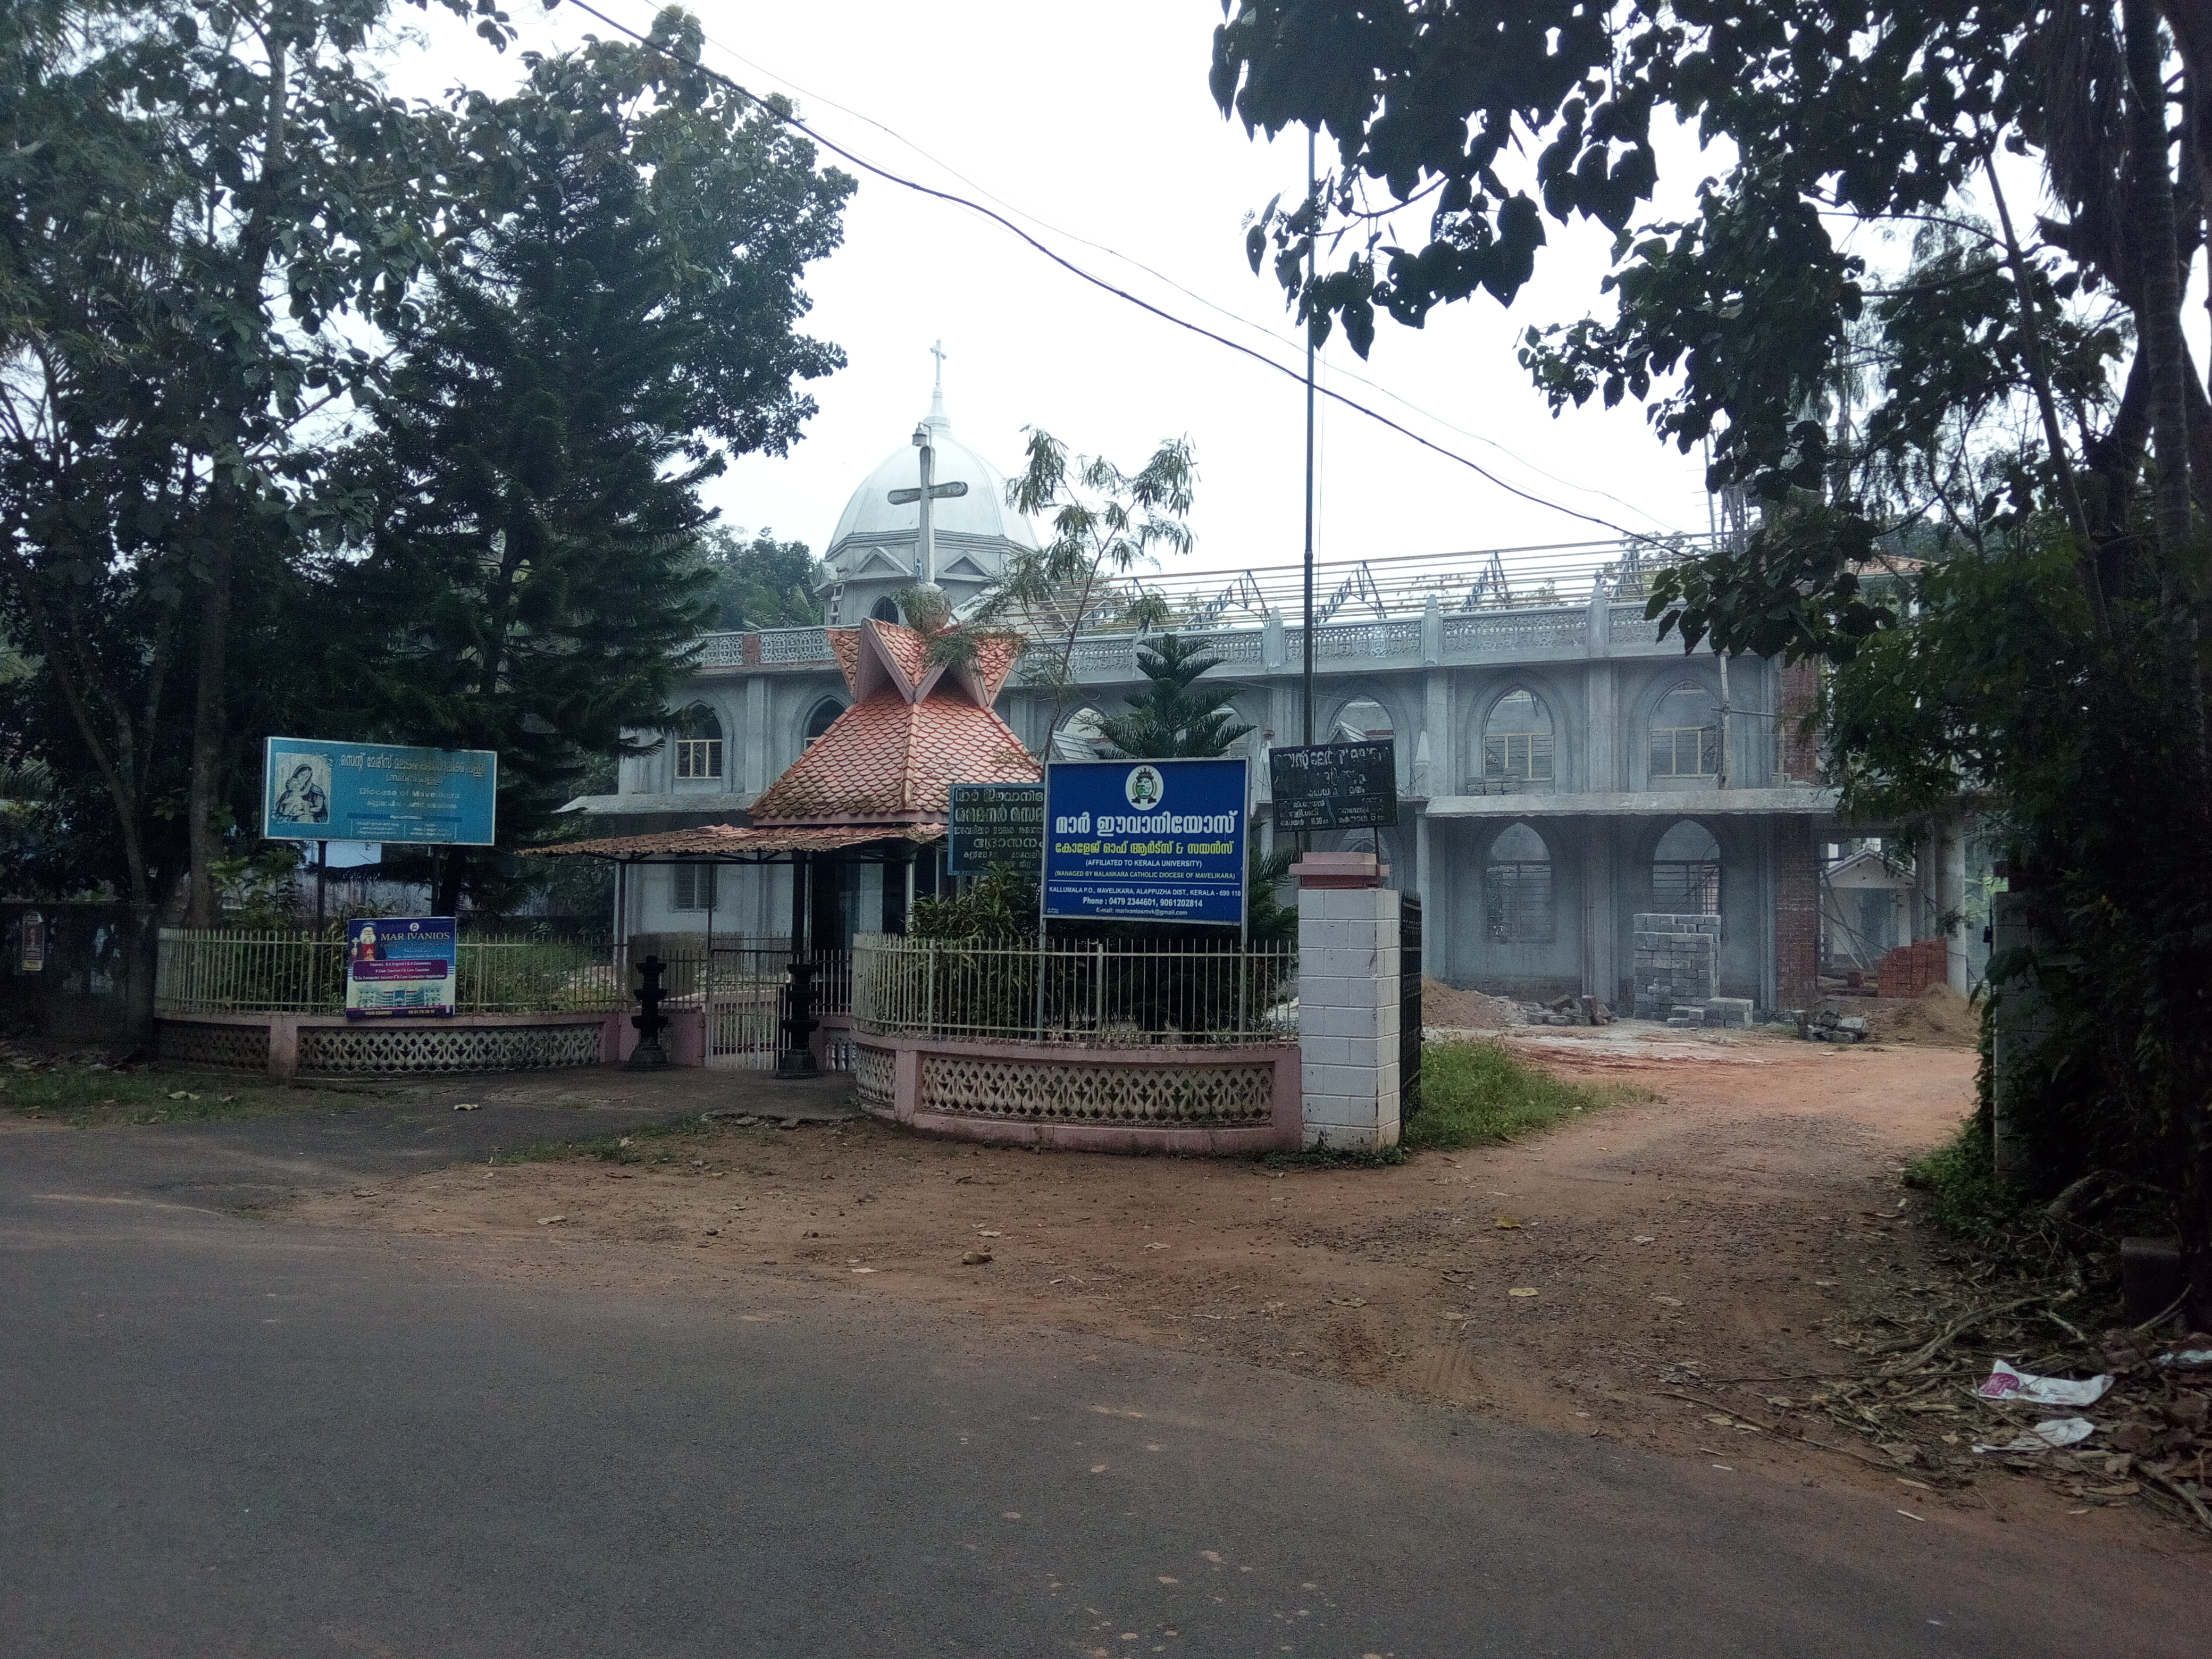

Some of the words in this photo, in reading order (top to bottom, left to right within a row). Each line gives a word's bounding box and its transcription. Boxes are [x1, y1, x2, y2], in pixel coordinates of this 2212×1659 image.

[365, 749, 396, 772] മേരീസി
[465, 758, 489, 780] പള്ള
[357, 785, 400, 800] Diocese
[398, 786, 412, 802] of
[408, 786, 438, 801] Mave
[437, 790, 462, 801] kura
[953, 802, 1011, 824] ദൈനർ
[1049, 807, 1092, 837] മാ‍ർ
[1093, 808, 1237, 840] ഈവാനിയോസ്
[970, 835, 1038, 851] ഭദ്രാസന
[1052, 838, 1103, 859] കോളേജ്
[1100, 838, 1130, 856] ഓഫ്
[1127, 836, 1175, 859] ആർട്‌സ്
[1173, 841, 1185, 857] &
[1185, 836, 1237, 857] സയൻ‌സ്
[1084, 856, 1124, 868] (AFFILIATED
[1122, 857, 1134, 869] TO
[1131, 857, 1163, 869] KERALA
[1159, 859, 1204, 869] UNIVERSITY)
[1051, 868, 1087, 879] (MANAGED
[1083, 869, 1094, 878] BY
[1093, 869, 1131, 879] MALANKARA
[1127, 869, 1161, 880] CATHOLIC
[1157, 869, 1186, 882] DIOCESE
[1184, 869, 1196, 881] OF
[1192, 868, 1237, 881] MAVELIKARA)
[1048, 884, 1085, 895] KALLUMALA
[1079, 884, 1095, 896] AP.O_
[1094, 884, 1137, 897] MAVELIKARA,
[1133, 886, 1174, 898] ALAPPUZHA
[1170, 886, 1189, 898] DIST
[1188, 887, 1218, 898] KERALA
[1217, 889, 1243, 898] 690110
[1080, 894, 1107, 908] Phone
[1107, 894, 1159, 909] 04792344601,
[1158, 896, 1203, 909] 9061202814
[1094, 906, 1115, 916] E-mail:
[1111, 905, 1191, 918] marivaniosmvk@gmail.com
[379, 928, 450, 943] MARIVANIOS